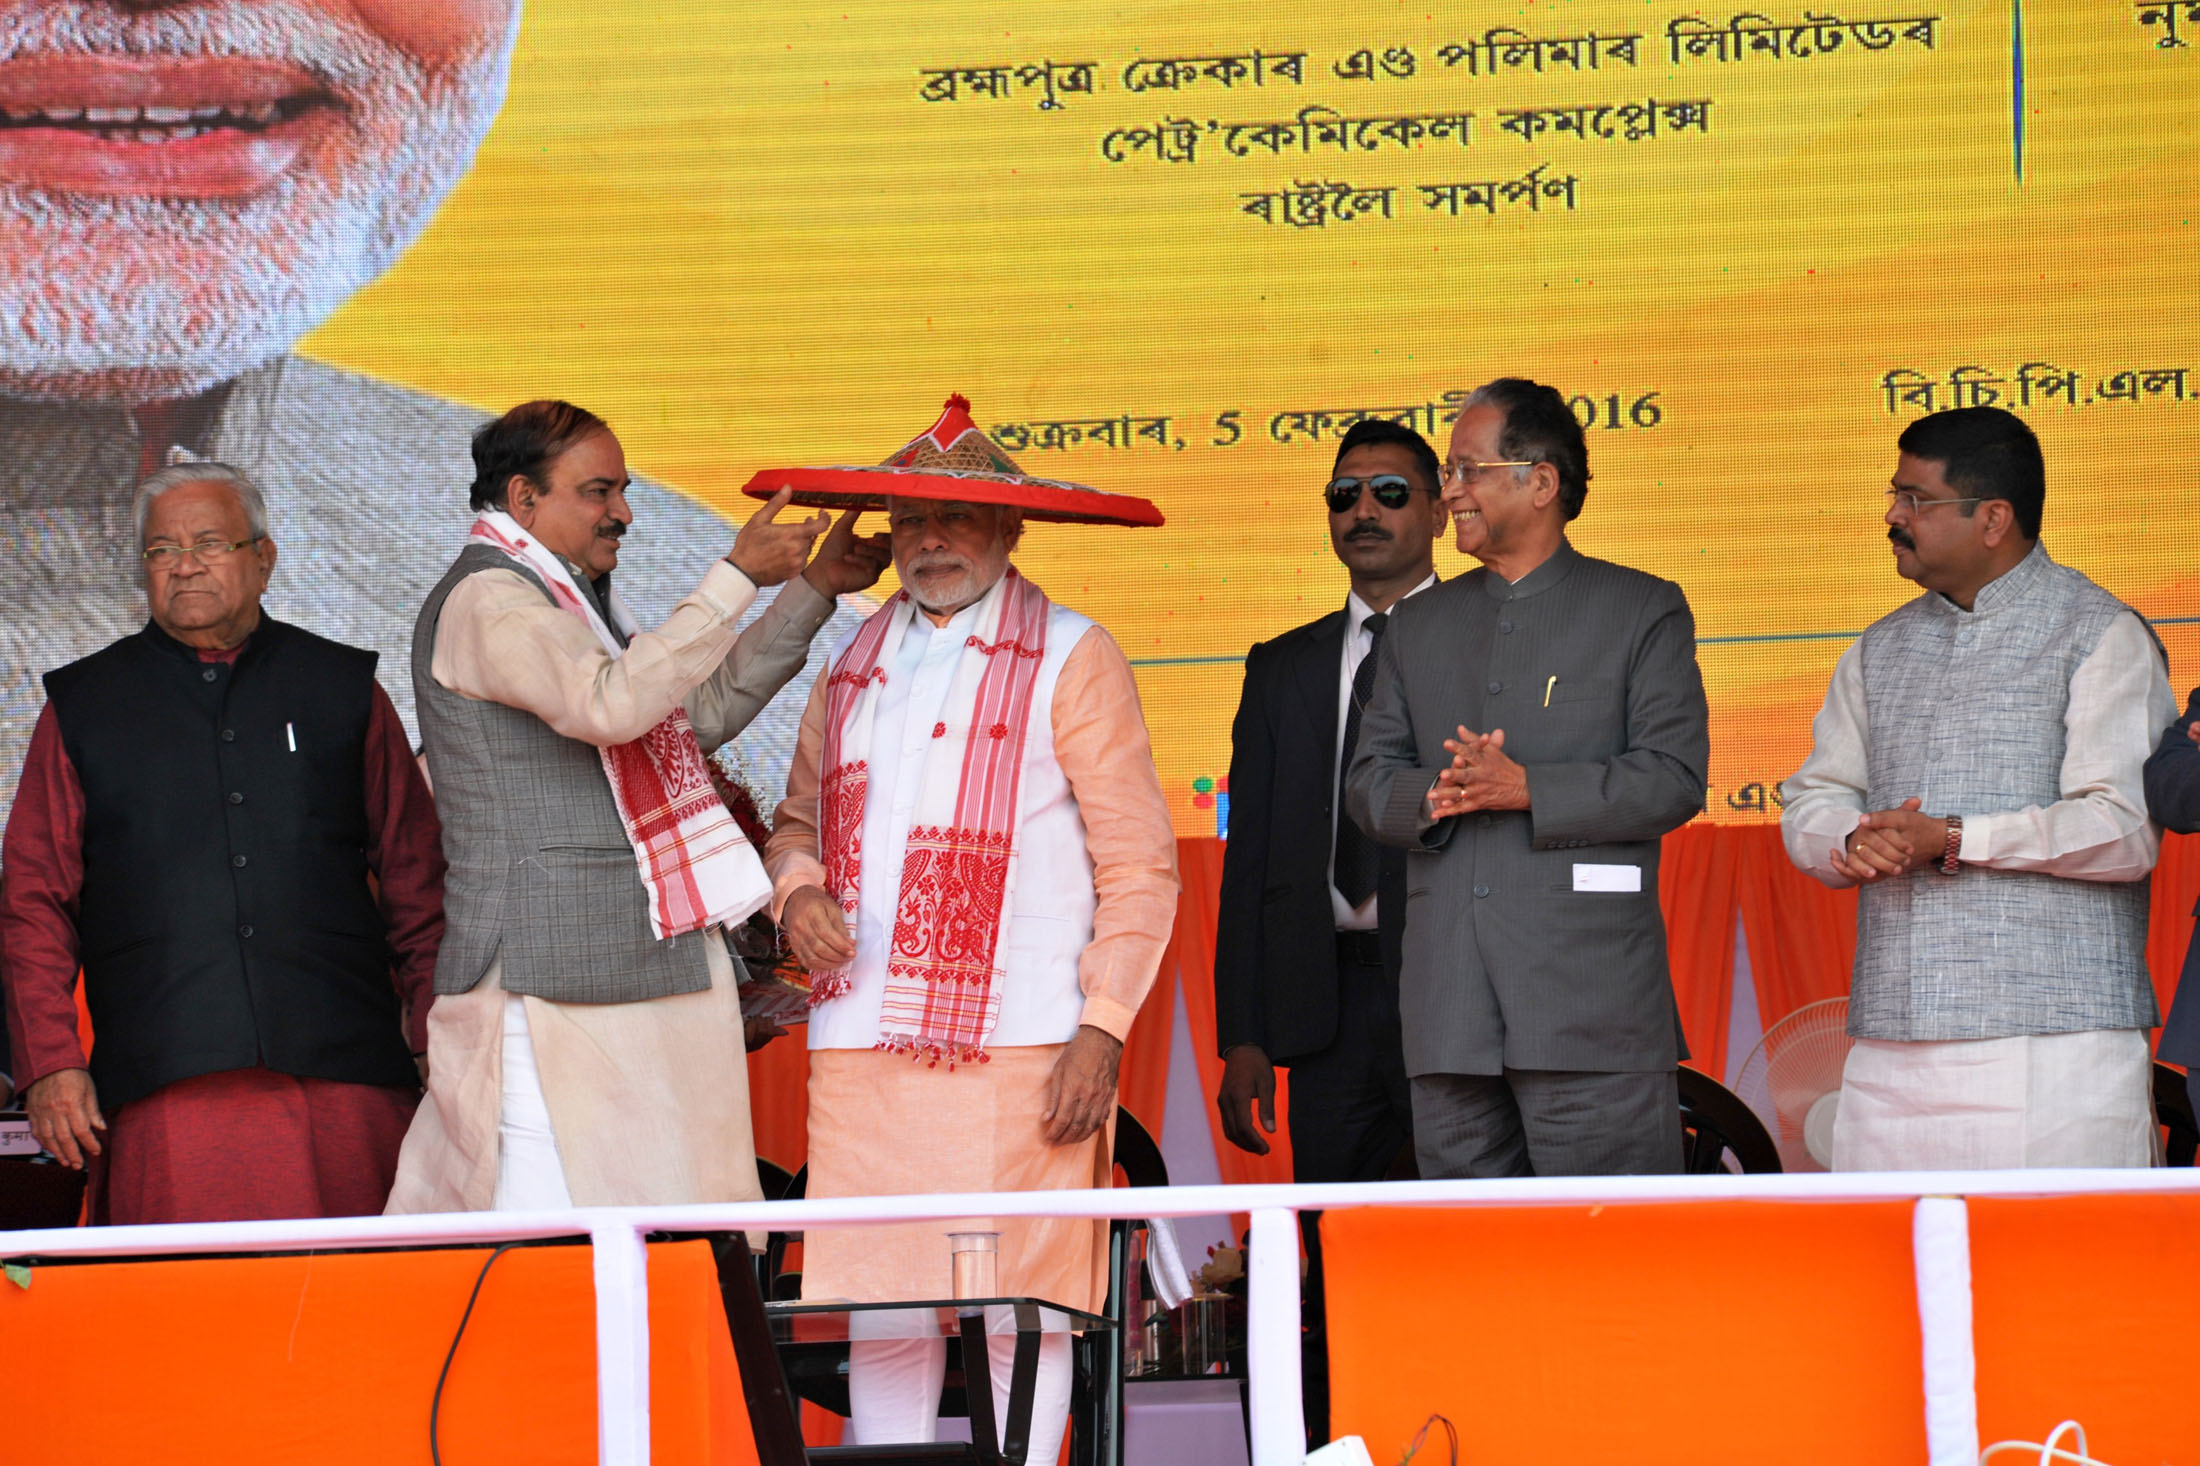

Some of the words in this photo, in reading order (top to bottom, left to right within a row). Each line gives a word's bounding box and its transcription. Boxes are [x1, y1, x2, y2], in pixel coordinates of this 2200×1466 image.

[904, 42, 1110, 126] ব্রহ্মপুত্র
[1108, 30, 1314, 108] ক্ৰেকাৰ
[1092, 90, 1486, 180] পেট্র'কেমিকেল
[1326, 38, 1418, 88] এণ্ড
[1434, 22, 1640, 78] পলিমাৰ
[1488, 82, 1730, 156] কমপ্লেক্স
[1656, 4, 1950, 78] লিমিটেডৰ
[1232, 158, 1414, 244] ৰাষ্ট্ৰলৈ
[1410, 148, 1588, 226] সমৰ্পণ
[1858, 350, 2200, 424] বি.চি.পি.এল.
[986, 402, 1184, 464] শুক্রবাৰ
[1204, 400, 1254, 460] 5